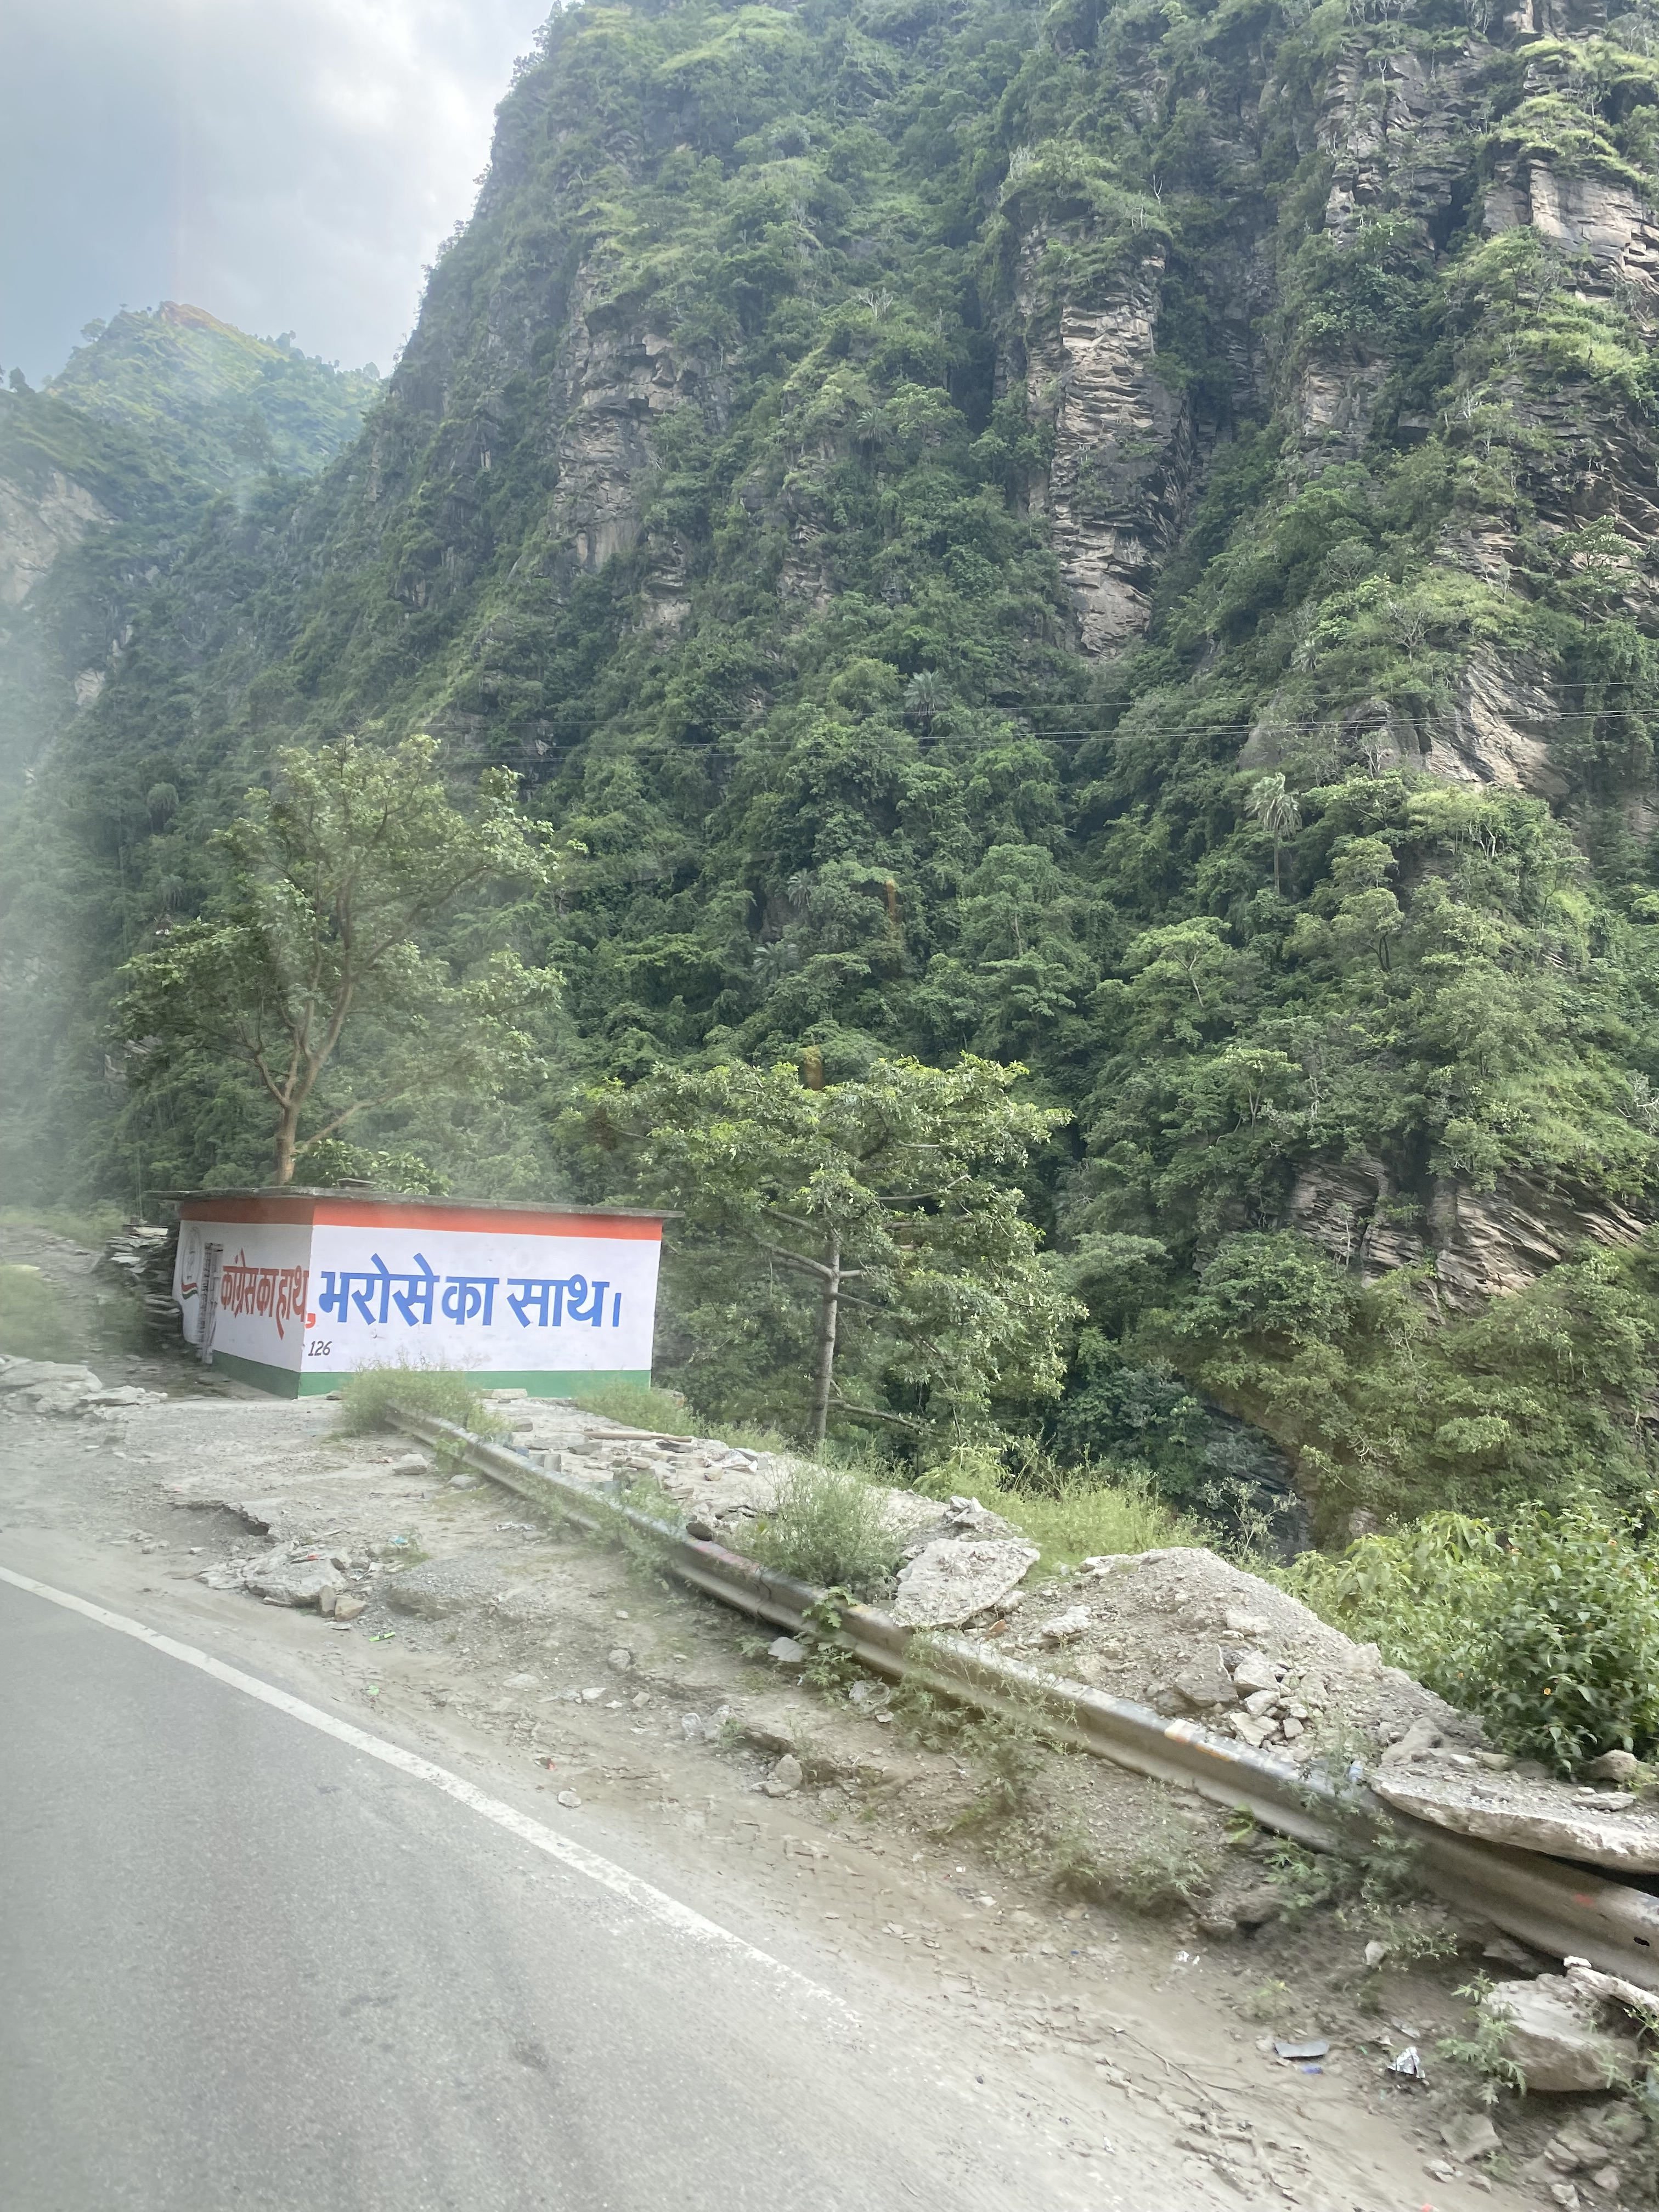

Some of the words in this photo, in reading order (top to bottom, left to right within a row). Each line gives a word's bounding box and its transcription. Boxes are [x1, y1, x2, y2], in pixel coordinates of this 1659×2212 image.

[218, 1244, 263, 1320] कांग्रेस
[253, 1261, 281, 1319] का
[271, 1263, 314, 1344] हाथ
[314, 1250, 442, 1327] भरोसे
[440, 1275, 503, 1332] का
[501, 1269, 627, 1334] साथ।